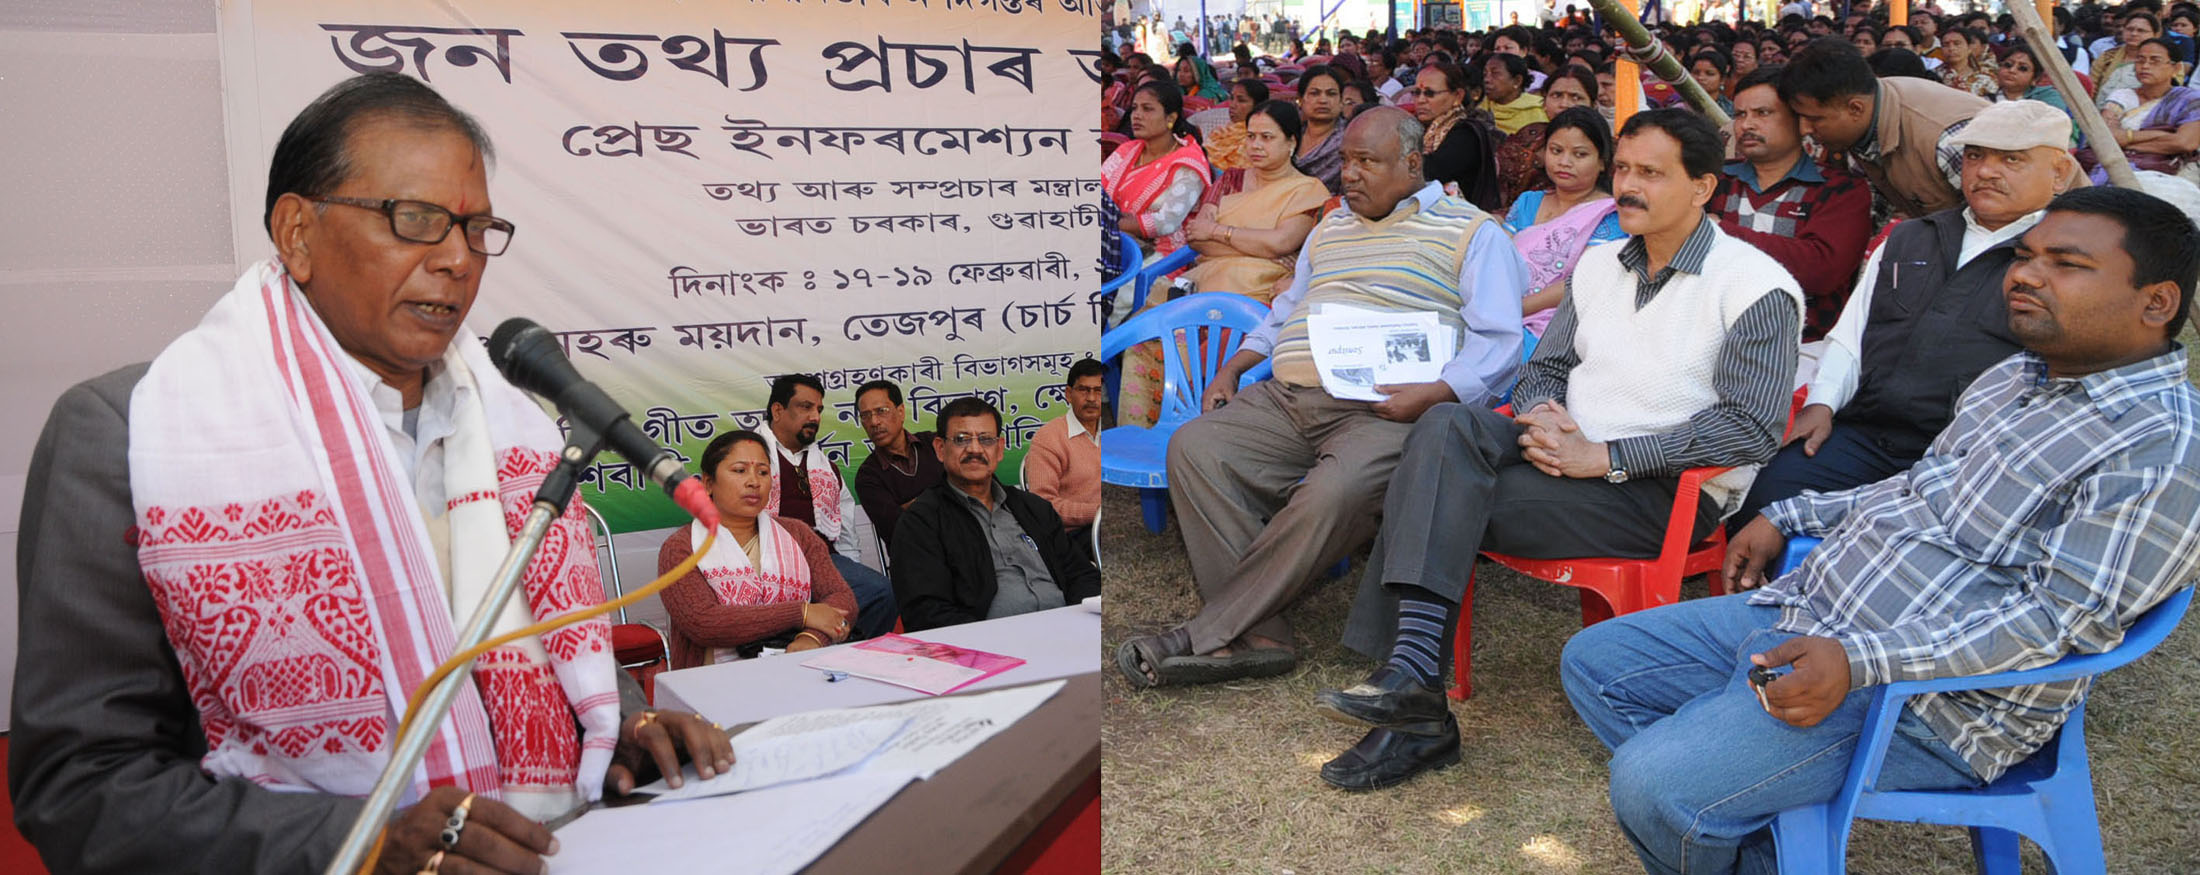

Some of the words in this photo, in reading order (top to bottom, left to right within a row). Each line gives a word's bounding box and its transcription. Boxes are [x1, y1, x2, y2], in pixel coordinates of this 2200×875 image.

[318, 15, 525, 91] জন
[560, 19, 780, 97] তথ্য
[817, 29, 1049, 105] প্রচাৰ
[561, 117, 698, 166] প্ৰেছ
[710, 105, 1075, 167] ইনফৰমেশ্যন
[698, 175, 782, 213] তথ্য
[731, 210, 838, 249] ভাৰত
[793, 176, 877, 202] আৰু
[847, 209, 962, 241] চৰকাৰ
[885, 173, 1019, 206] সম্প্রচাৰ
[985, 197, 1109, 236] গুৱাহাটী
[1027, 173, 1103, 203] মন্ত্রাল
[651, 255, 789, 303] দিনাংক
[827, 259, 939, 297] ১৭-১৯
[943, 247, 1076, 291] ফেব্রুৱাৰী
[557, 321, 657, 366] হৰু
[671, 307, 812, 354] ময়দান
[824, 351, 947, 394] গ্ৰহণকাৰী
[838, 297, 993, 347] তেজপুৰ
[942, 347, 1076, 385] বিভাগসমূহ
[1009, 284, 1079, 332] চাৰ্চ
[629, 396, 720, 454] গীত